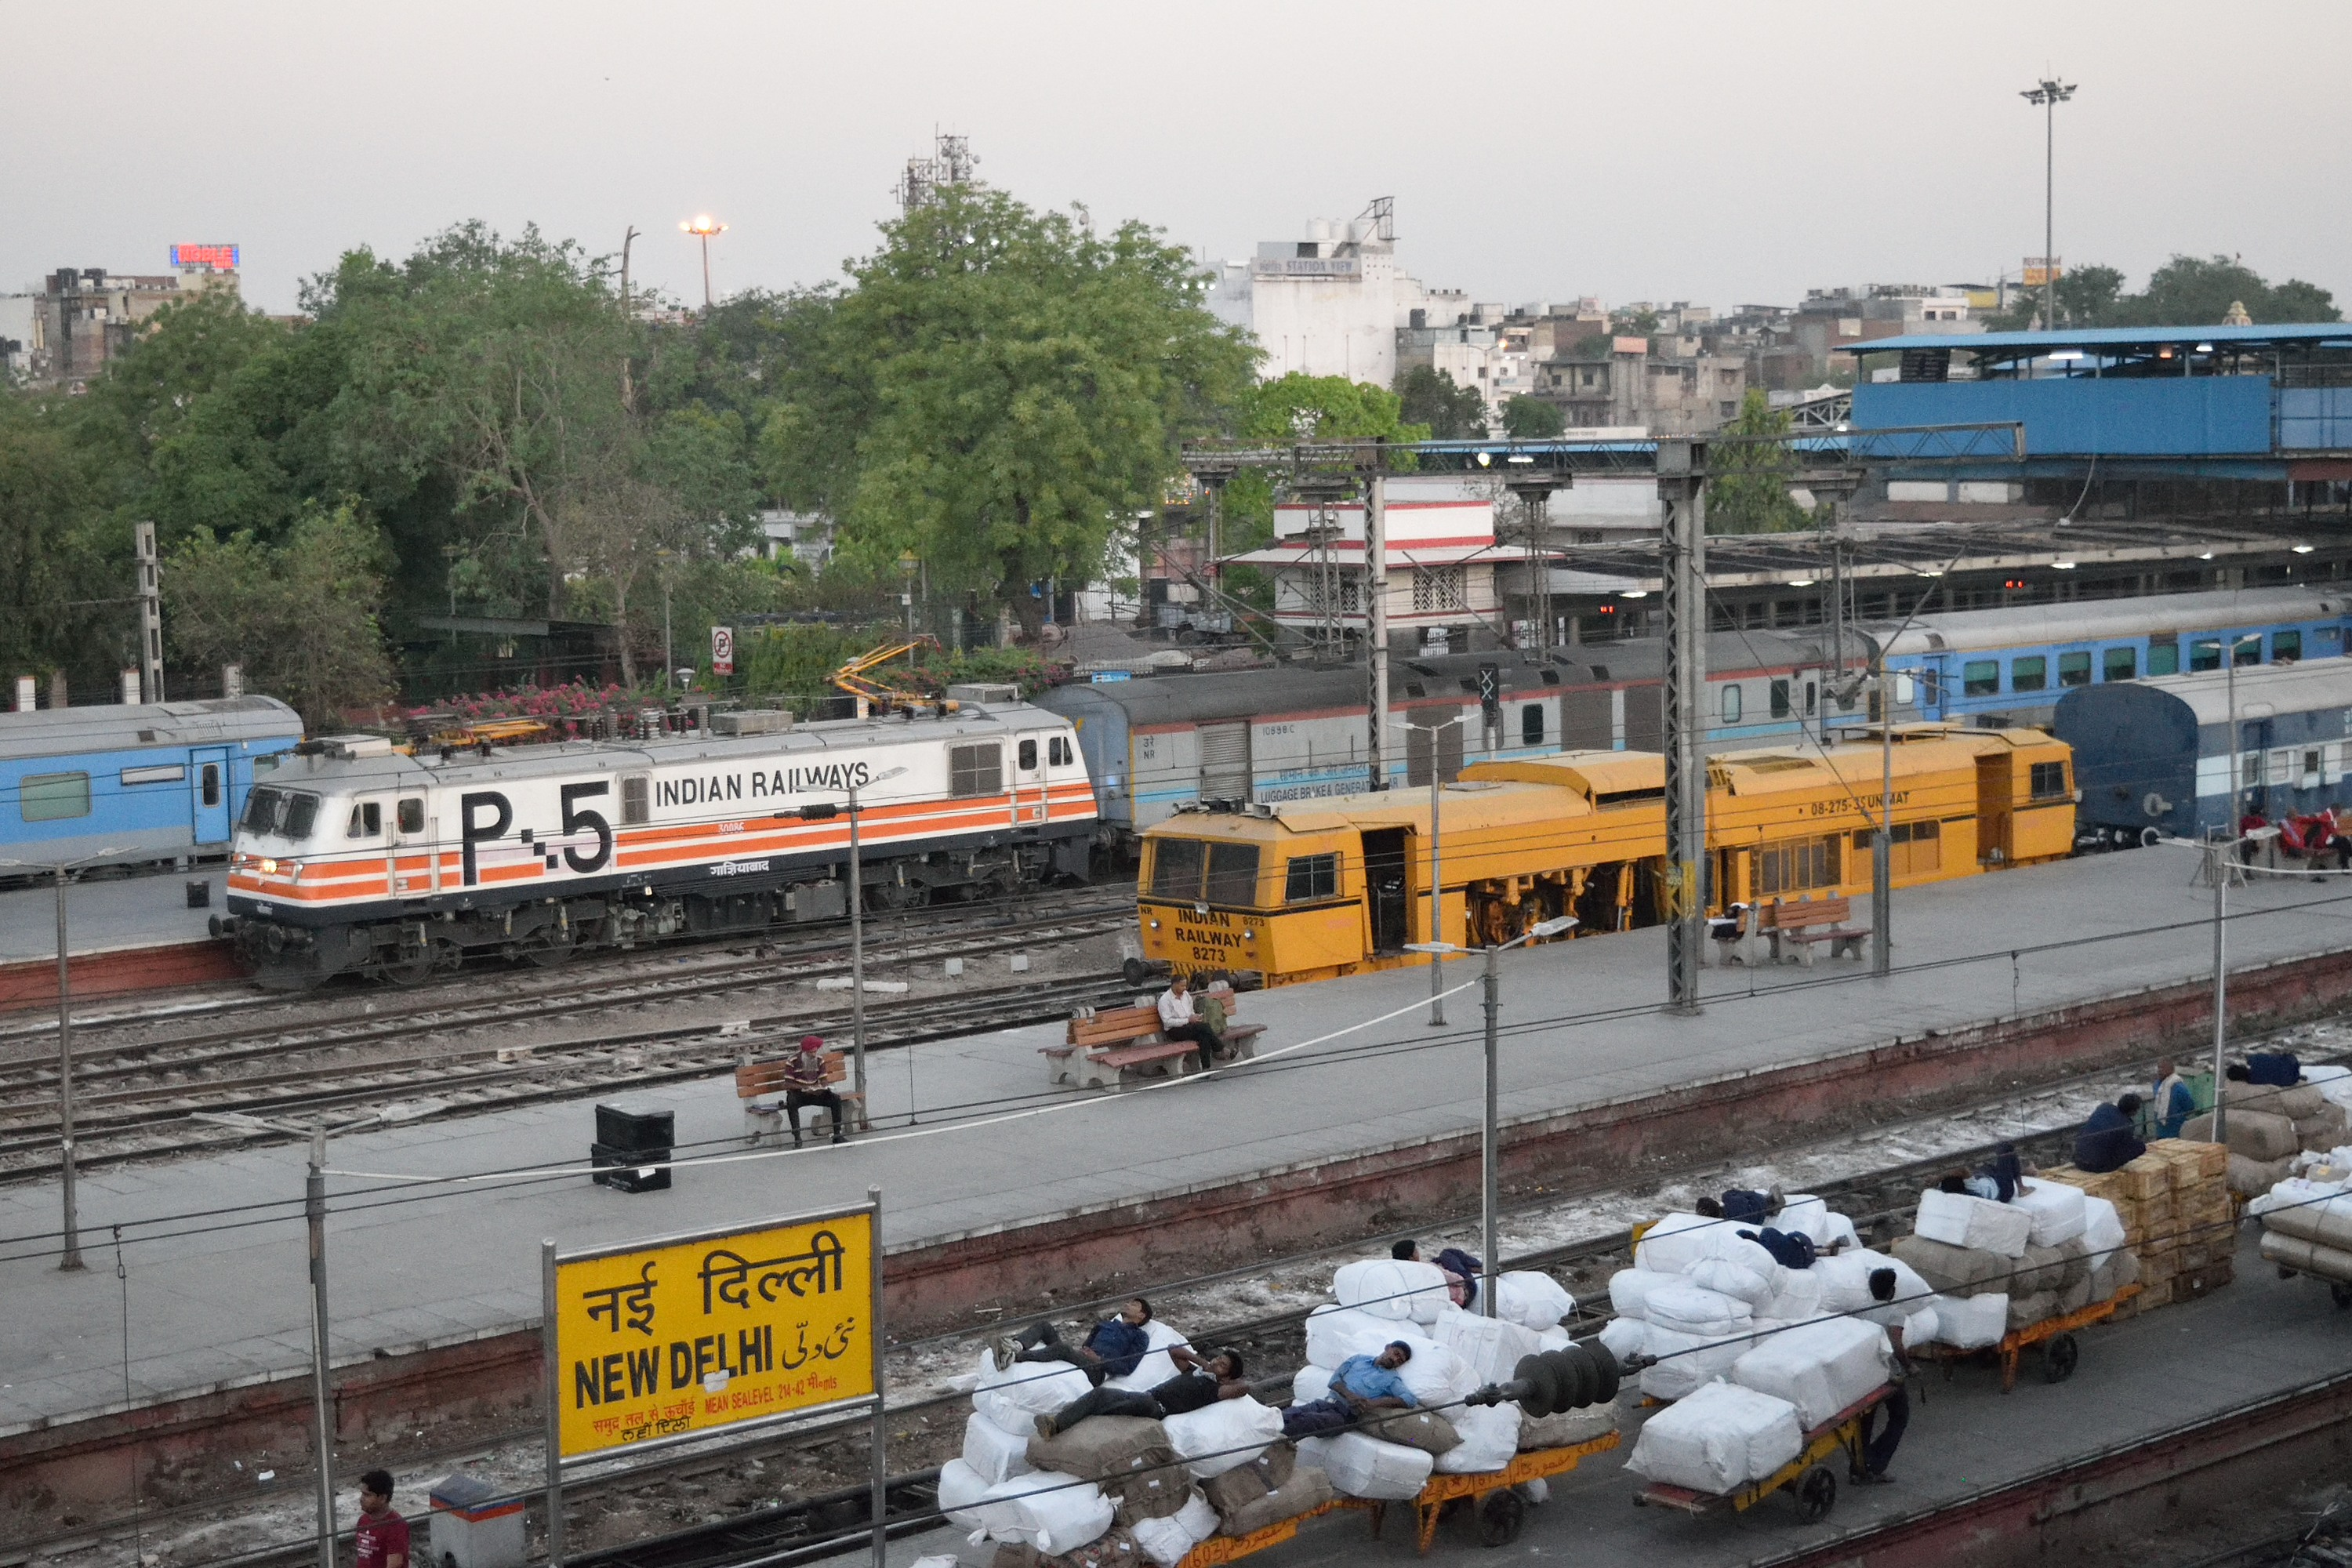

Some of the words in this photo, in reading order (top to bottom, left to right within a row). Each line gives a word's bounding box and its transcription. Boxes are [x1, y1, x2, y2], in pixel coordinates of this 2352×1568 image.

[649, 767, 746, 816] INDIAN
[750, 758, 867, 803] RAILWAYS
[1258, 786, 1301, 808] LUGGAGE
[1276, 764, 1306, 784] सामान
[1307, 763, 1322, 780] बैंक
[1298, 781, 1335, 803] BRAKE&
[1320, 758, 1341, 780] और
[1337, 757, 1370, 778] जनरेटर
[1334, 779, 1376, 801] GENERAT
[459, 778, 615, 893] P5
[709, 857, 774, 882] गाज़ियाबाद
[1175, 907, 1233, 927] INDIAN
[1171, 924, 1246, 949] RAILWAY
[689, 1223, 853, 1321] दिल्ली
[579, 1255, 663, 1339] नई
[589, 1411, 623, 1442] समुद्र
[565, 1345, 666, 1414] NEW
[619, 1408, 645, 1428] तल
[642, 1398, 662, 1424] सेे
[663, 1392, 699, 1423] ऊचॉई
[701, 1391, 732, 1418] MEAN
[728, 1383, 775, 1413] SEALEVEL
[776, 1377, 809, 1403] २५६०६२
[804, 1367, 821, 1392] मी.
[820, 1372, 842, 1396] mls